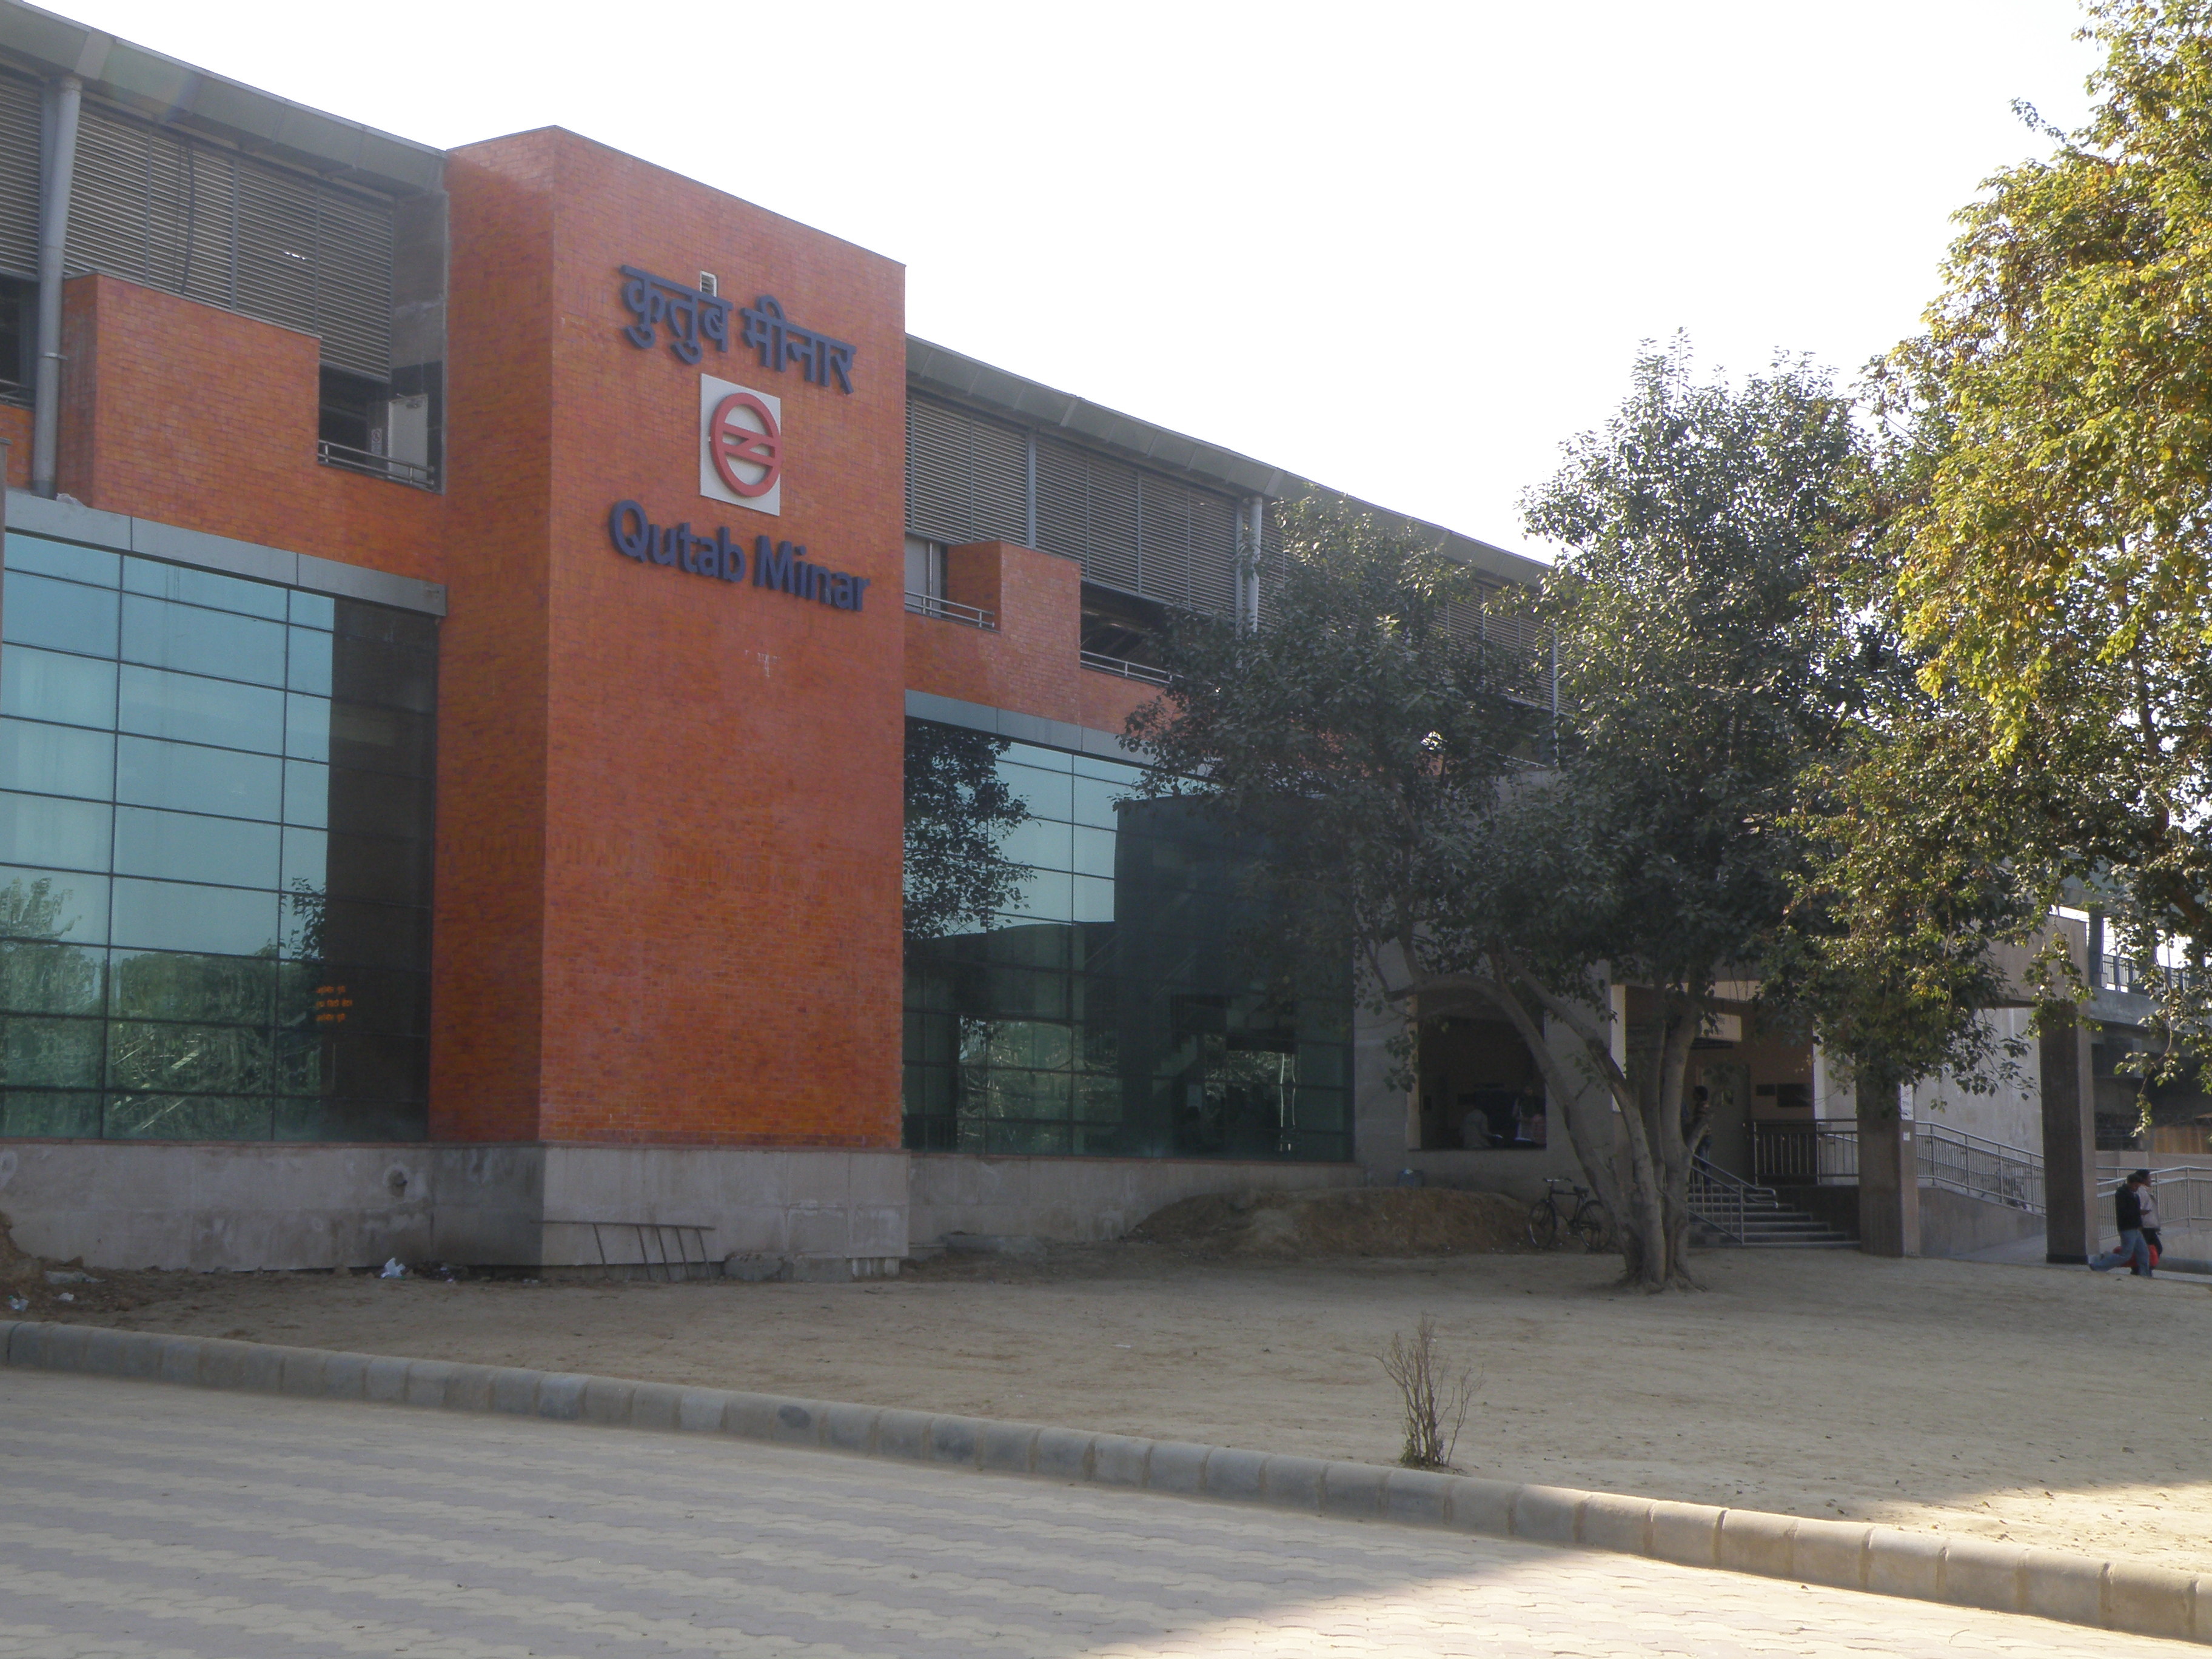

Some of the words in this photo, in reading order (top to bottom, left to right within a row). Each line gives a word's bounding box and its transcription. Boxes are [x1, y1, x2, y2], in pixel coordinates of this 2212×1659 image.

[622, 264, 734, 367] कुतुब
[742, 291, 859, 398] मीनार
[606, 497, 745, 585] Qutab
[752, 532, 873, 615] Minar